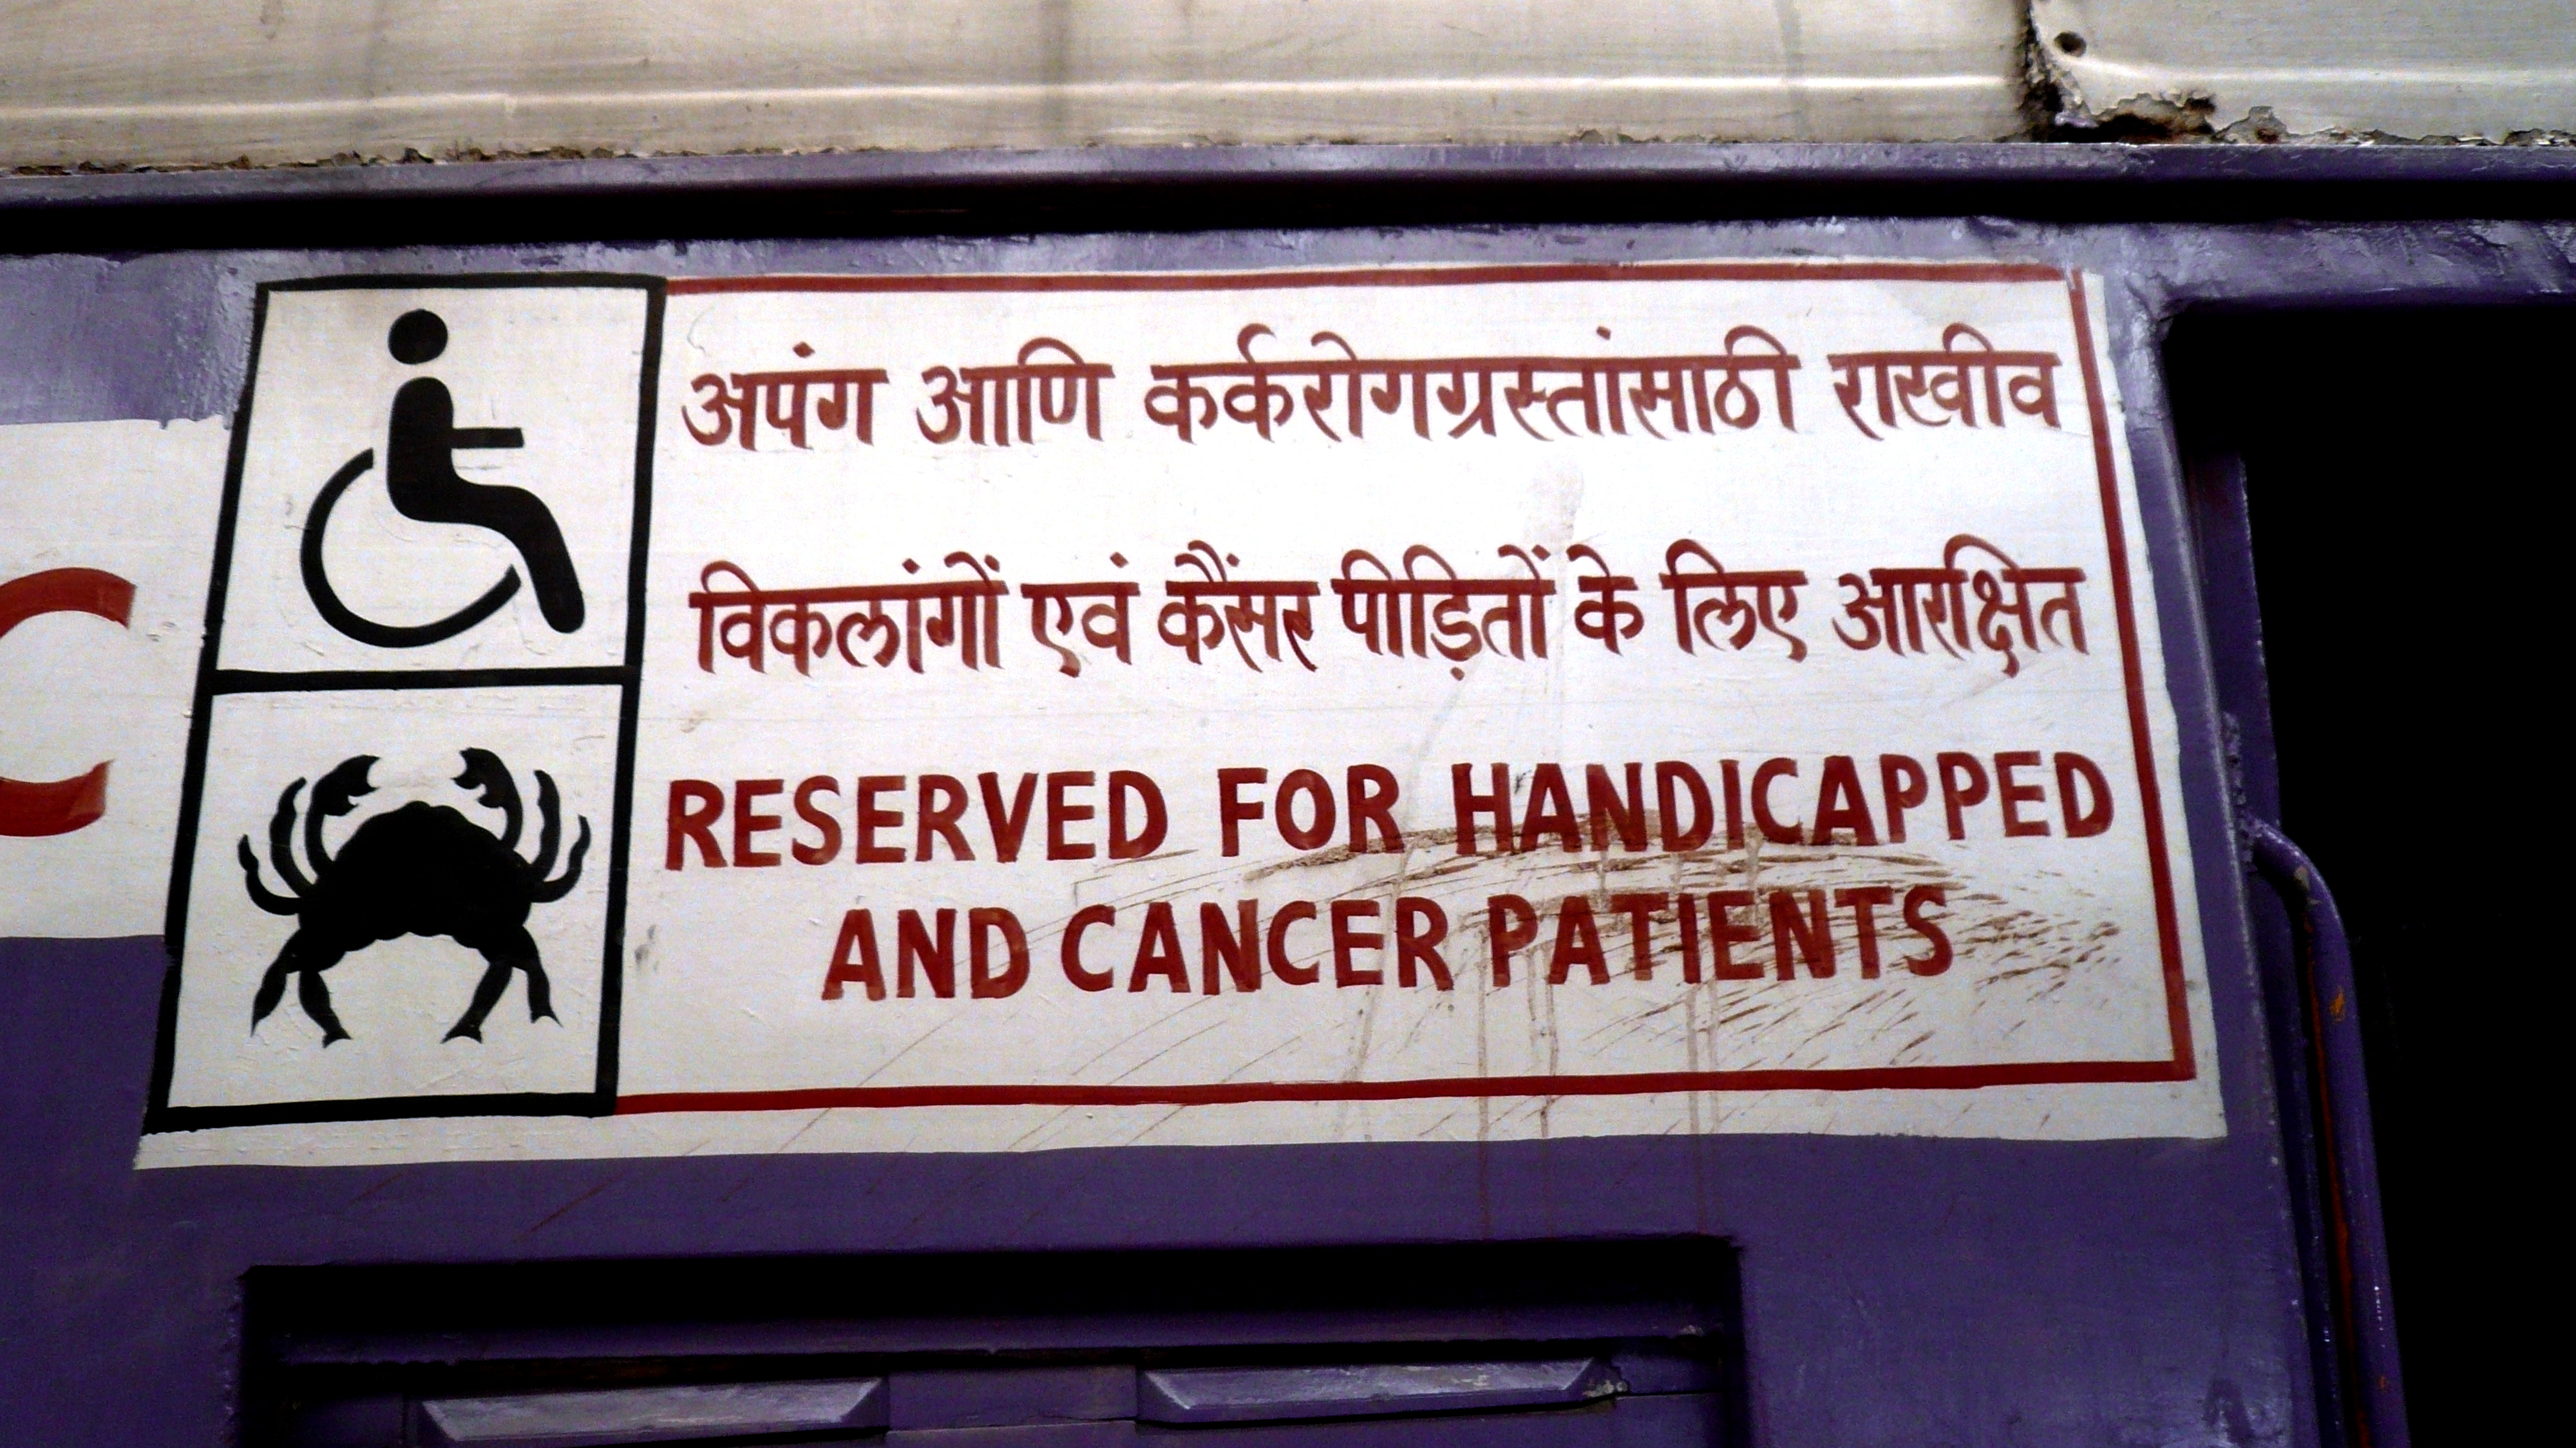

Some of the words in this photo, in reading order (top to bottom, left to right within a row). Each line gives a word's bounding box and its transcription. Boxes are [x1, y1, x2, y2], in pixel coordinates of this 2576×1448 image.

[684, 332, 898, 472] अपंग
[899, 336, 1117, 462] आणि
[1141, 314, 1817, 448] कर्करोगग्रस्तांसाठी
[1818, 323, 2067, 455] राखीव
[675, 537, 1019, 676] विकलांगों
[1011, 545, 1142, 691] एवं
[1153, 529, 1328, 676] कैंसर
[1309, 533, 1562, 687] पीड़ितों
[1561, 536, 1663, 660] के
[1649, 537, 1820, 675] लिए
[1830, 526, 2096, 688] आरक्षित
[663, 763, 1177, 876] RESERVED
[1202, 754, 1416, 866] FOR
[1452, 742, 2128, 859] HANDICAPPED
[813, 895, 1037, 1009] AND
[1055, 884, 1468, 1001] CANCER
[1480, 876, 1962, 992] PATIENTS